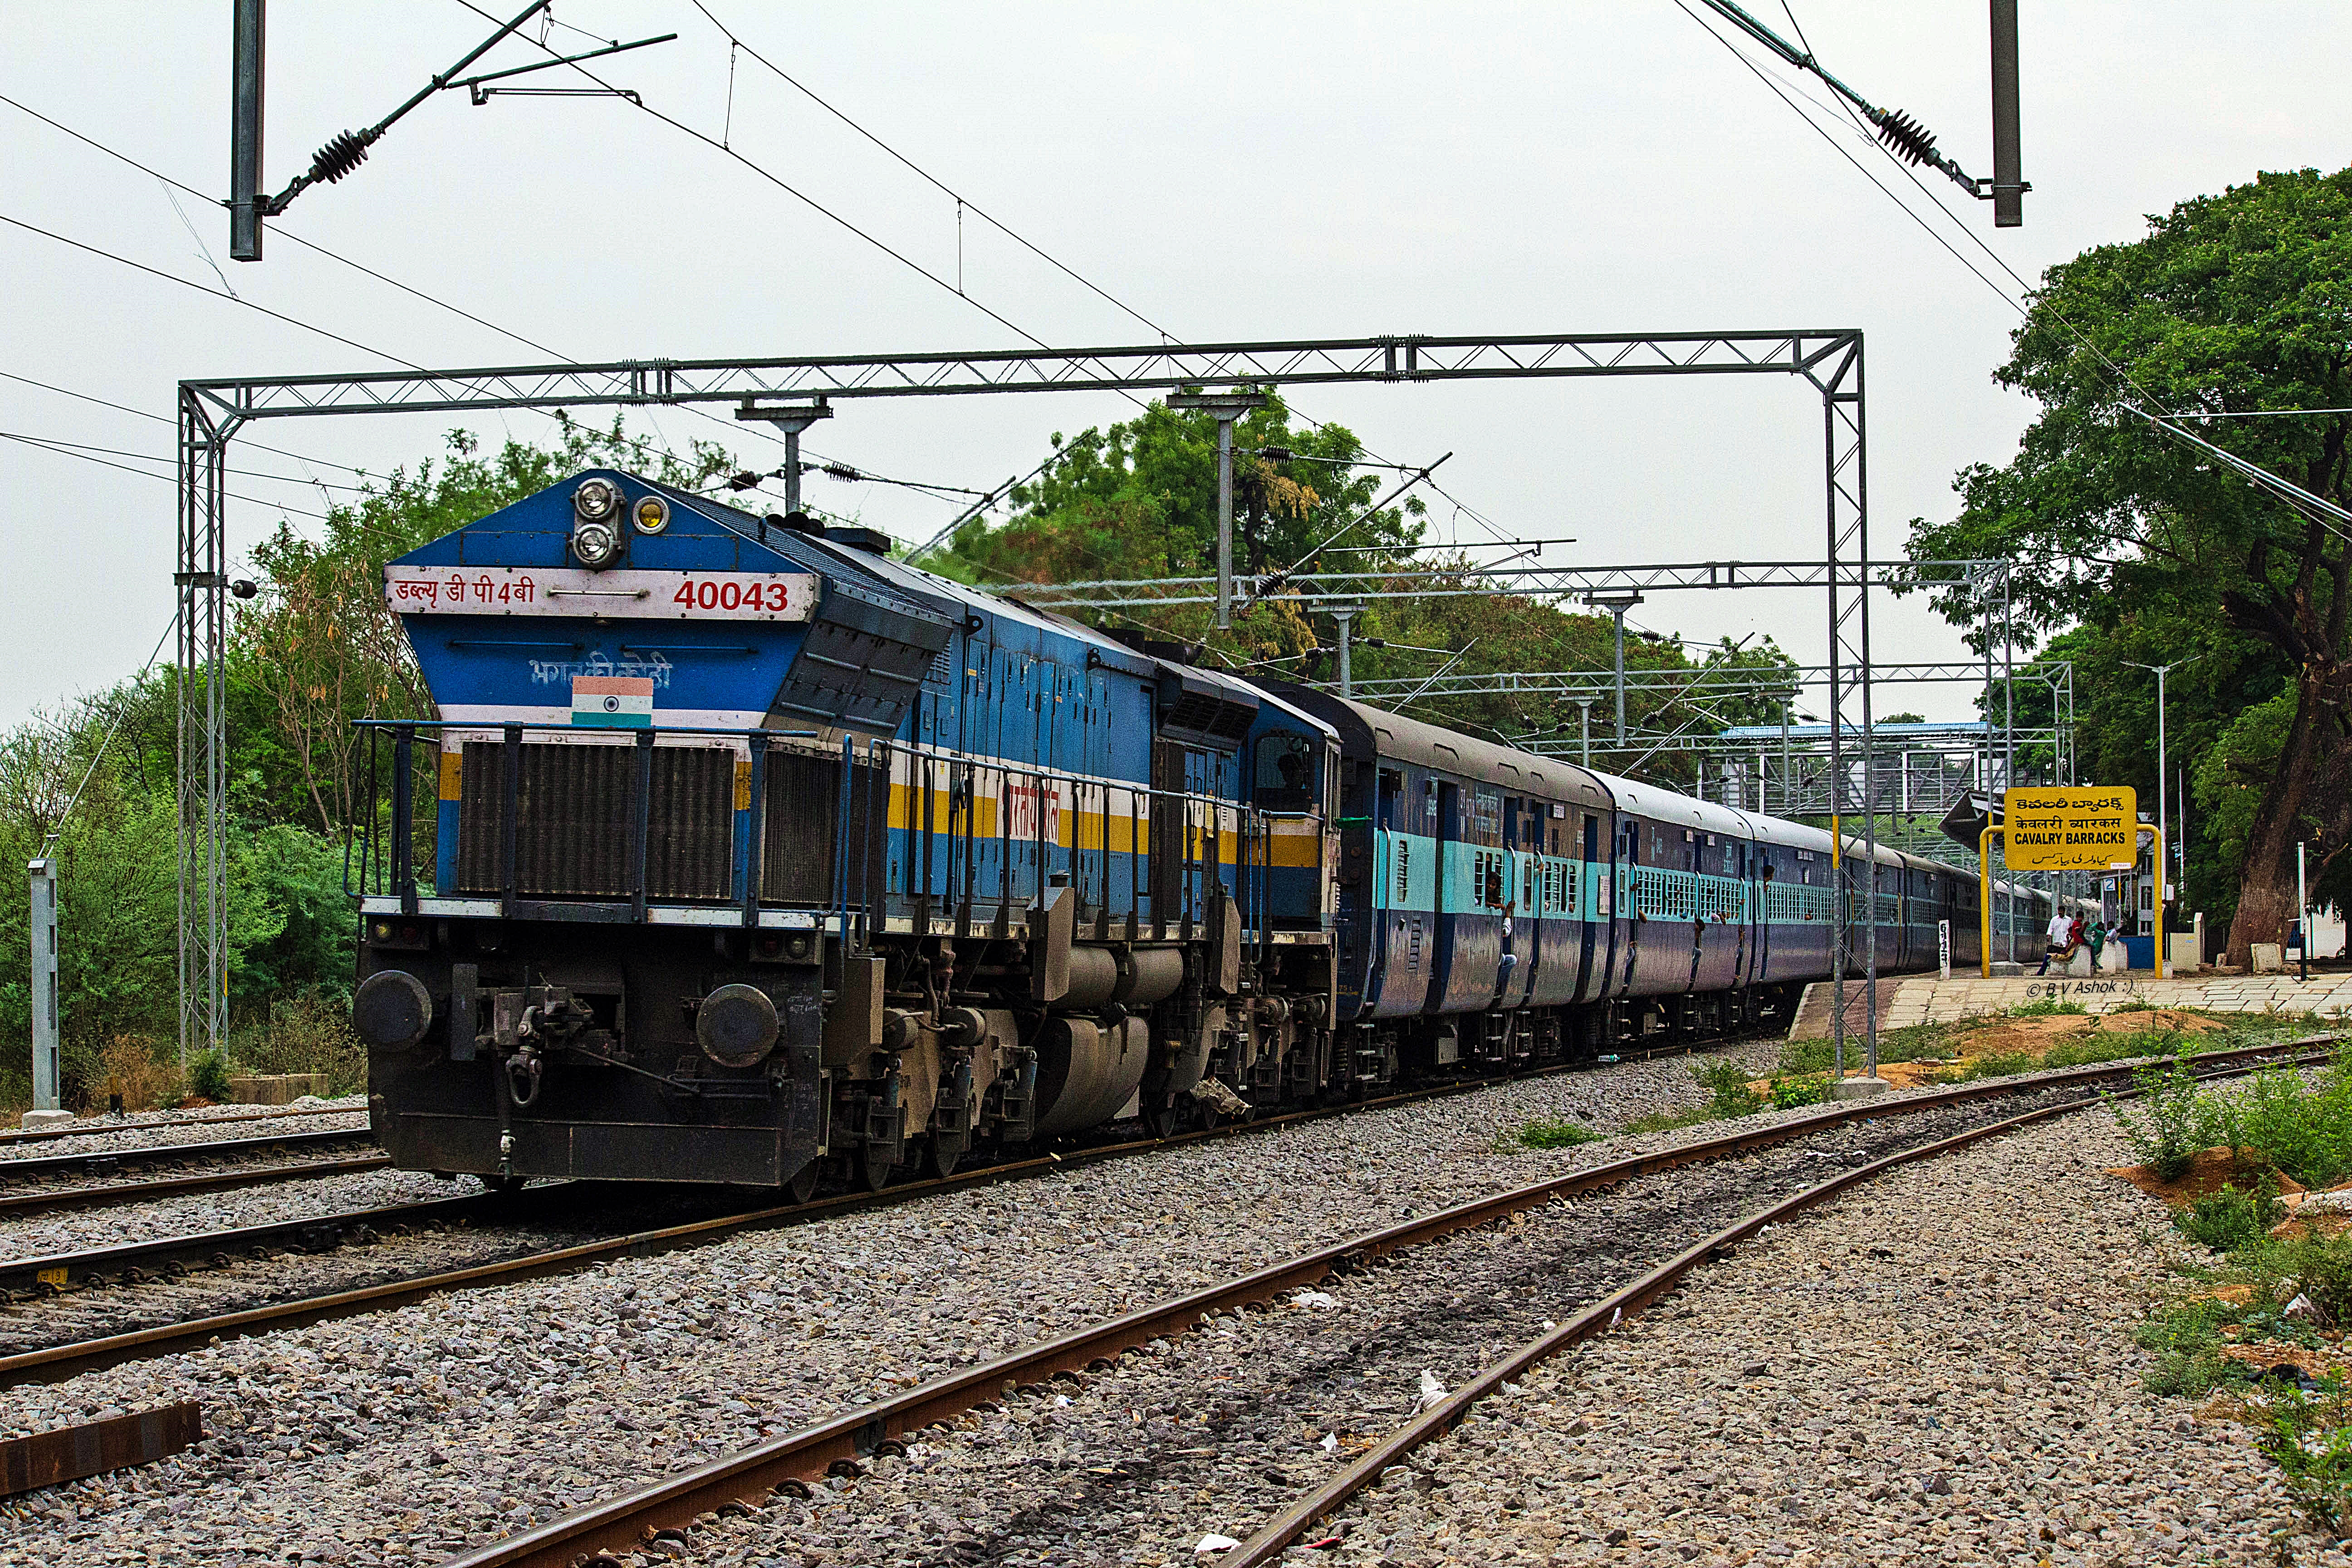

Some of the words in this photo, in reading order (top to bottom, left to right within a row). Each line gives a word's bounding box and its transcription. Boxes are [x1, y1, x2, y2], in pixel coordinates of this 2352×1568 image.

[393, 578, 440, 610] डब्ल्यू
[441, 570, 538, 605] डी पी 4 बी
[671, 579, 791, 614] 40043
[525, 657, 588, 688] भगत
[2012, 795, 2069, 811] కెవలరీ
[2070, 794, 2126, 813] బ్యారక్స్
[2012, 811, 2065, 832] केवलरी
[2069, 817, 2123, 831] ब्यारकस
[2014, 830, 2064, 847] CAVALRY
[2063, 831, 2127, 846] BARRACKS